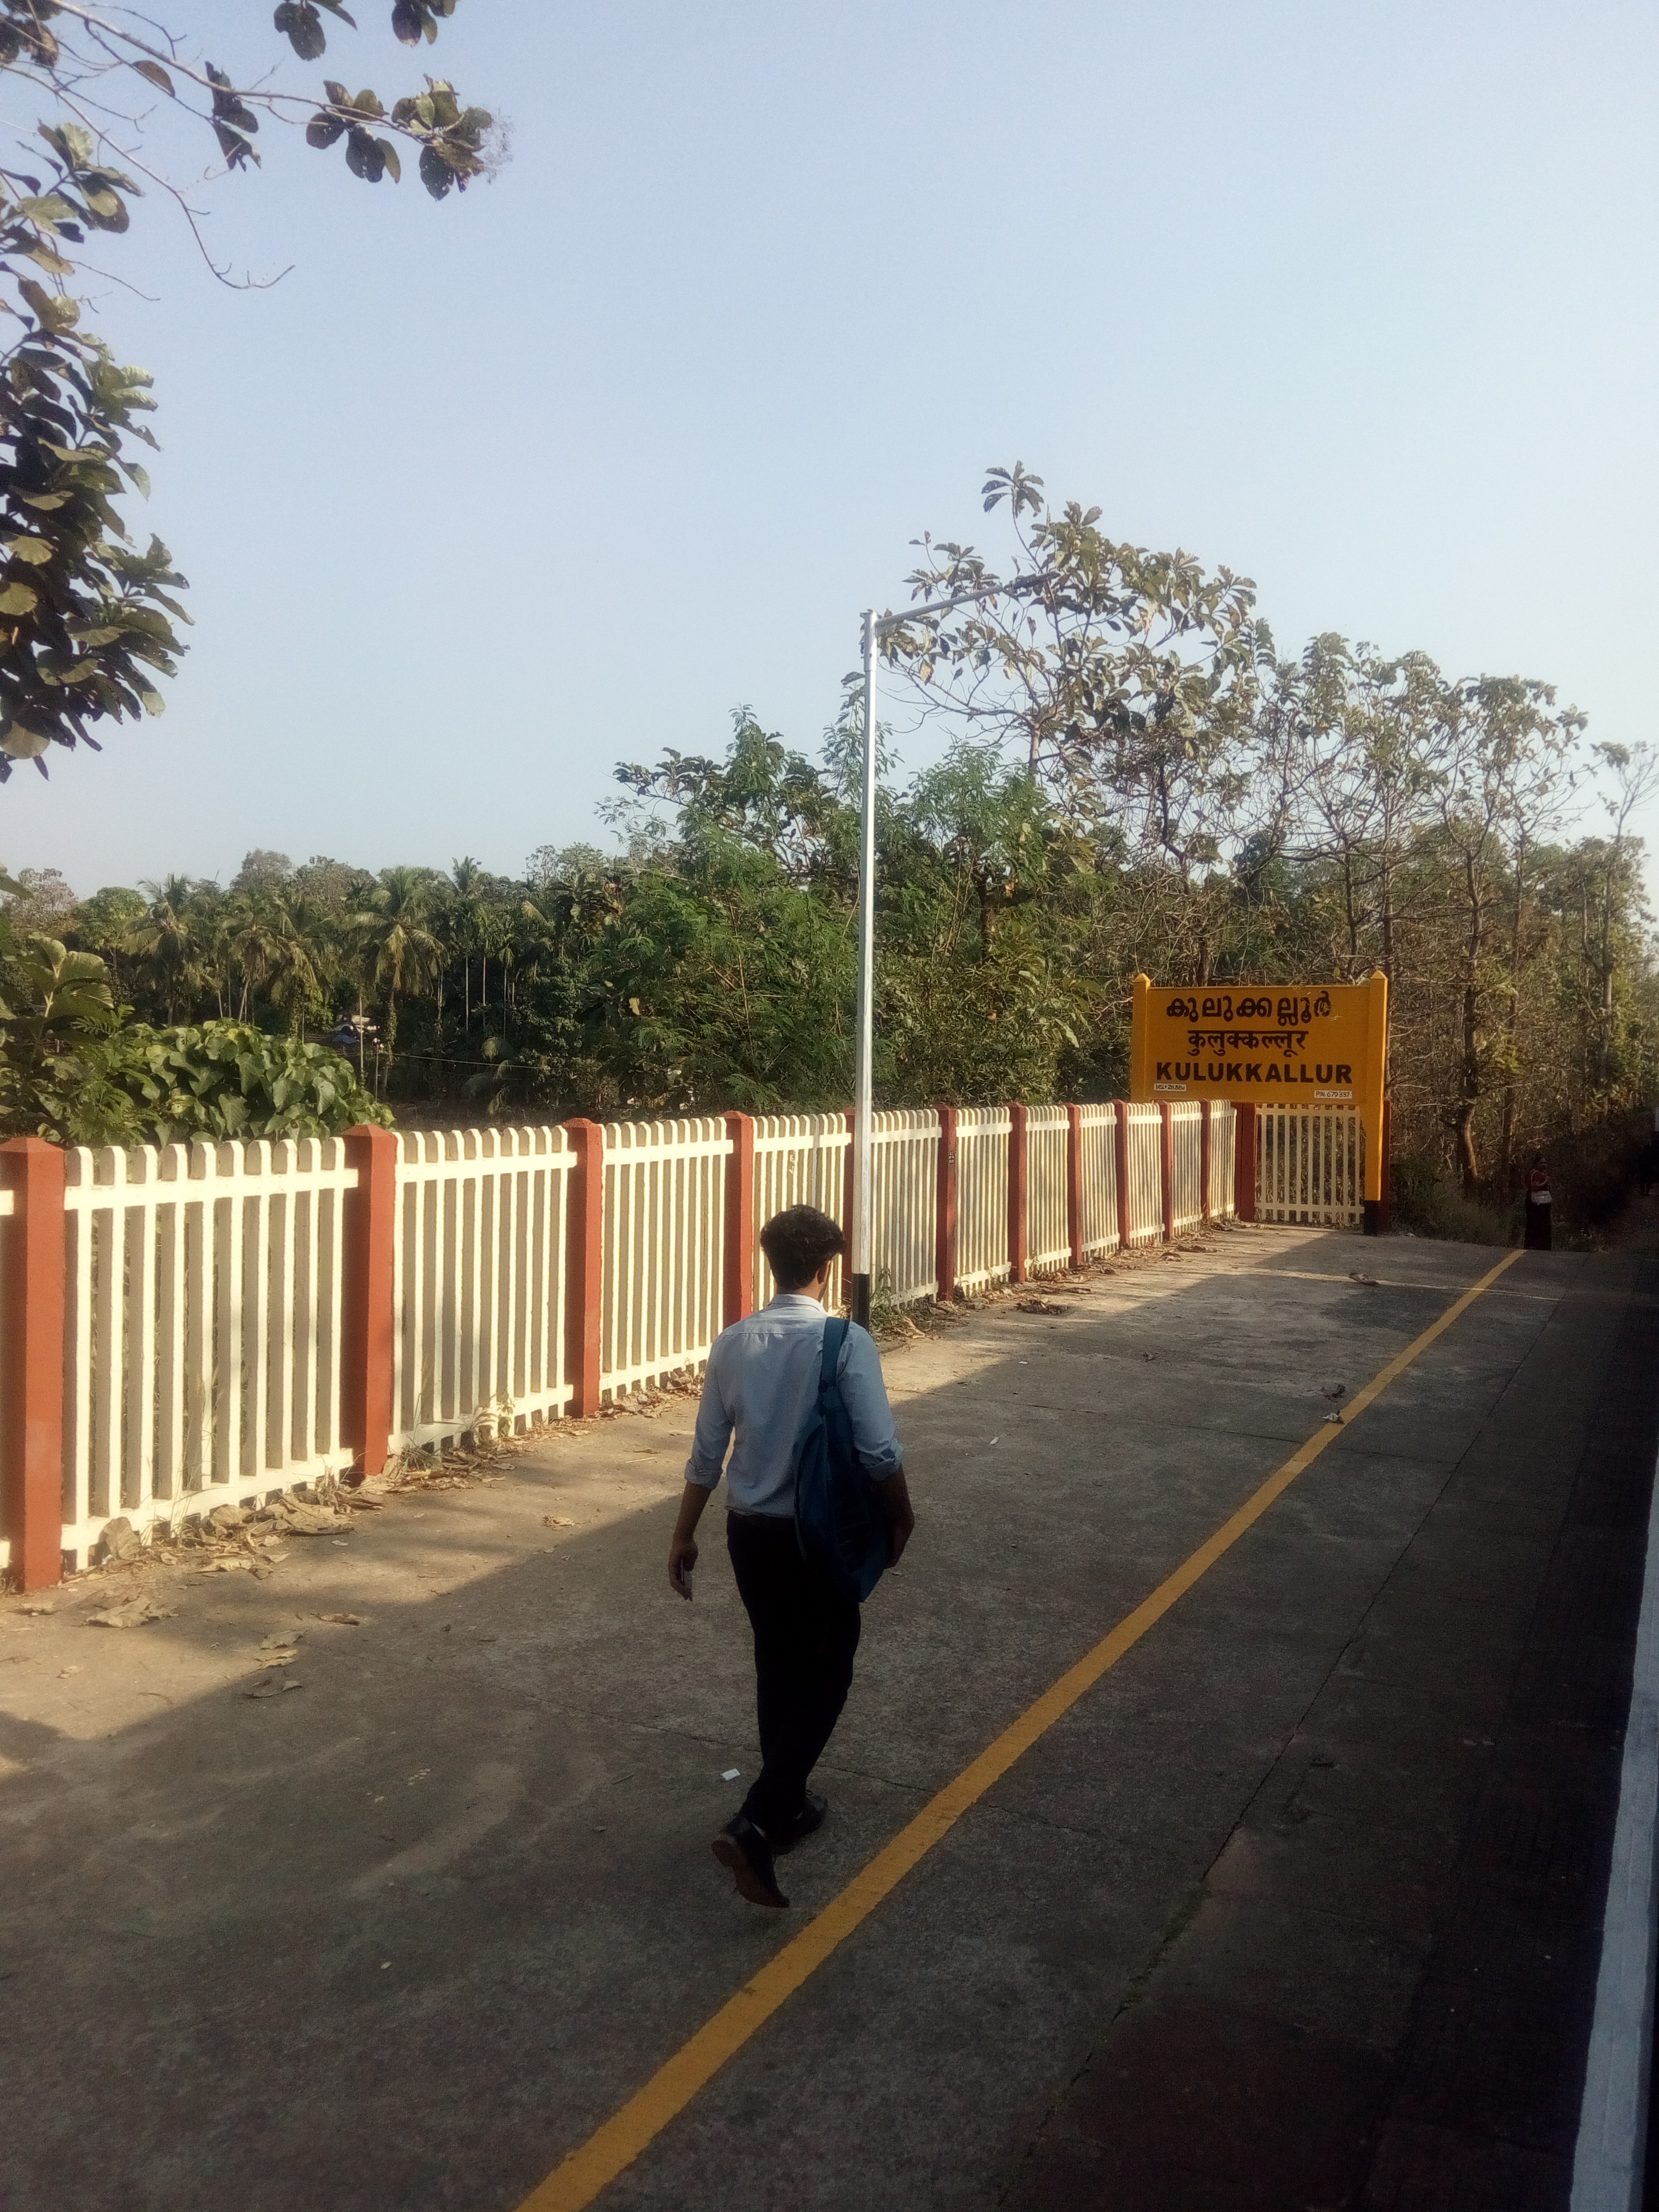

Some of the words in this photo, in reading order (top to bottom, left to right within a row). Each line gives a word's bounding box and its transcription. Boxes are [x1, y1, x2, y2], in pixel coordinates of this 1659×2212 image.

[1163, 986, 1334, 1027] കുലുക്കല്ലൂർ
[1186, 1028, 1311, 1060] कुलुक्कल्लूर
[1153, 1082, 1188, 1092] MSL+28.38M
[1153, 1059, 1354, 1087] KULUKKALLUR
[1314, 1087, 1351, 1100] PIN679337